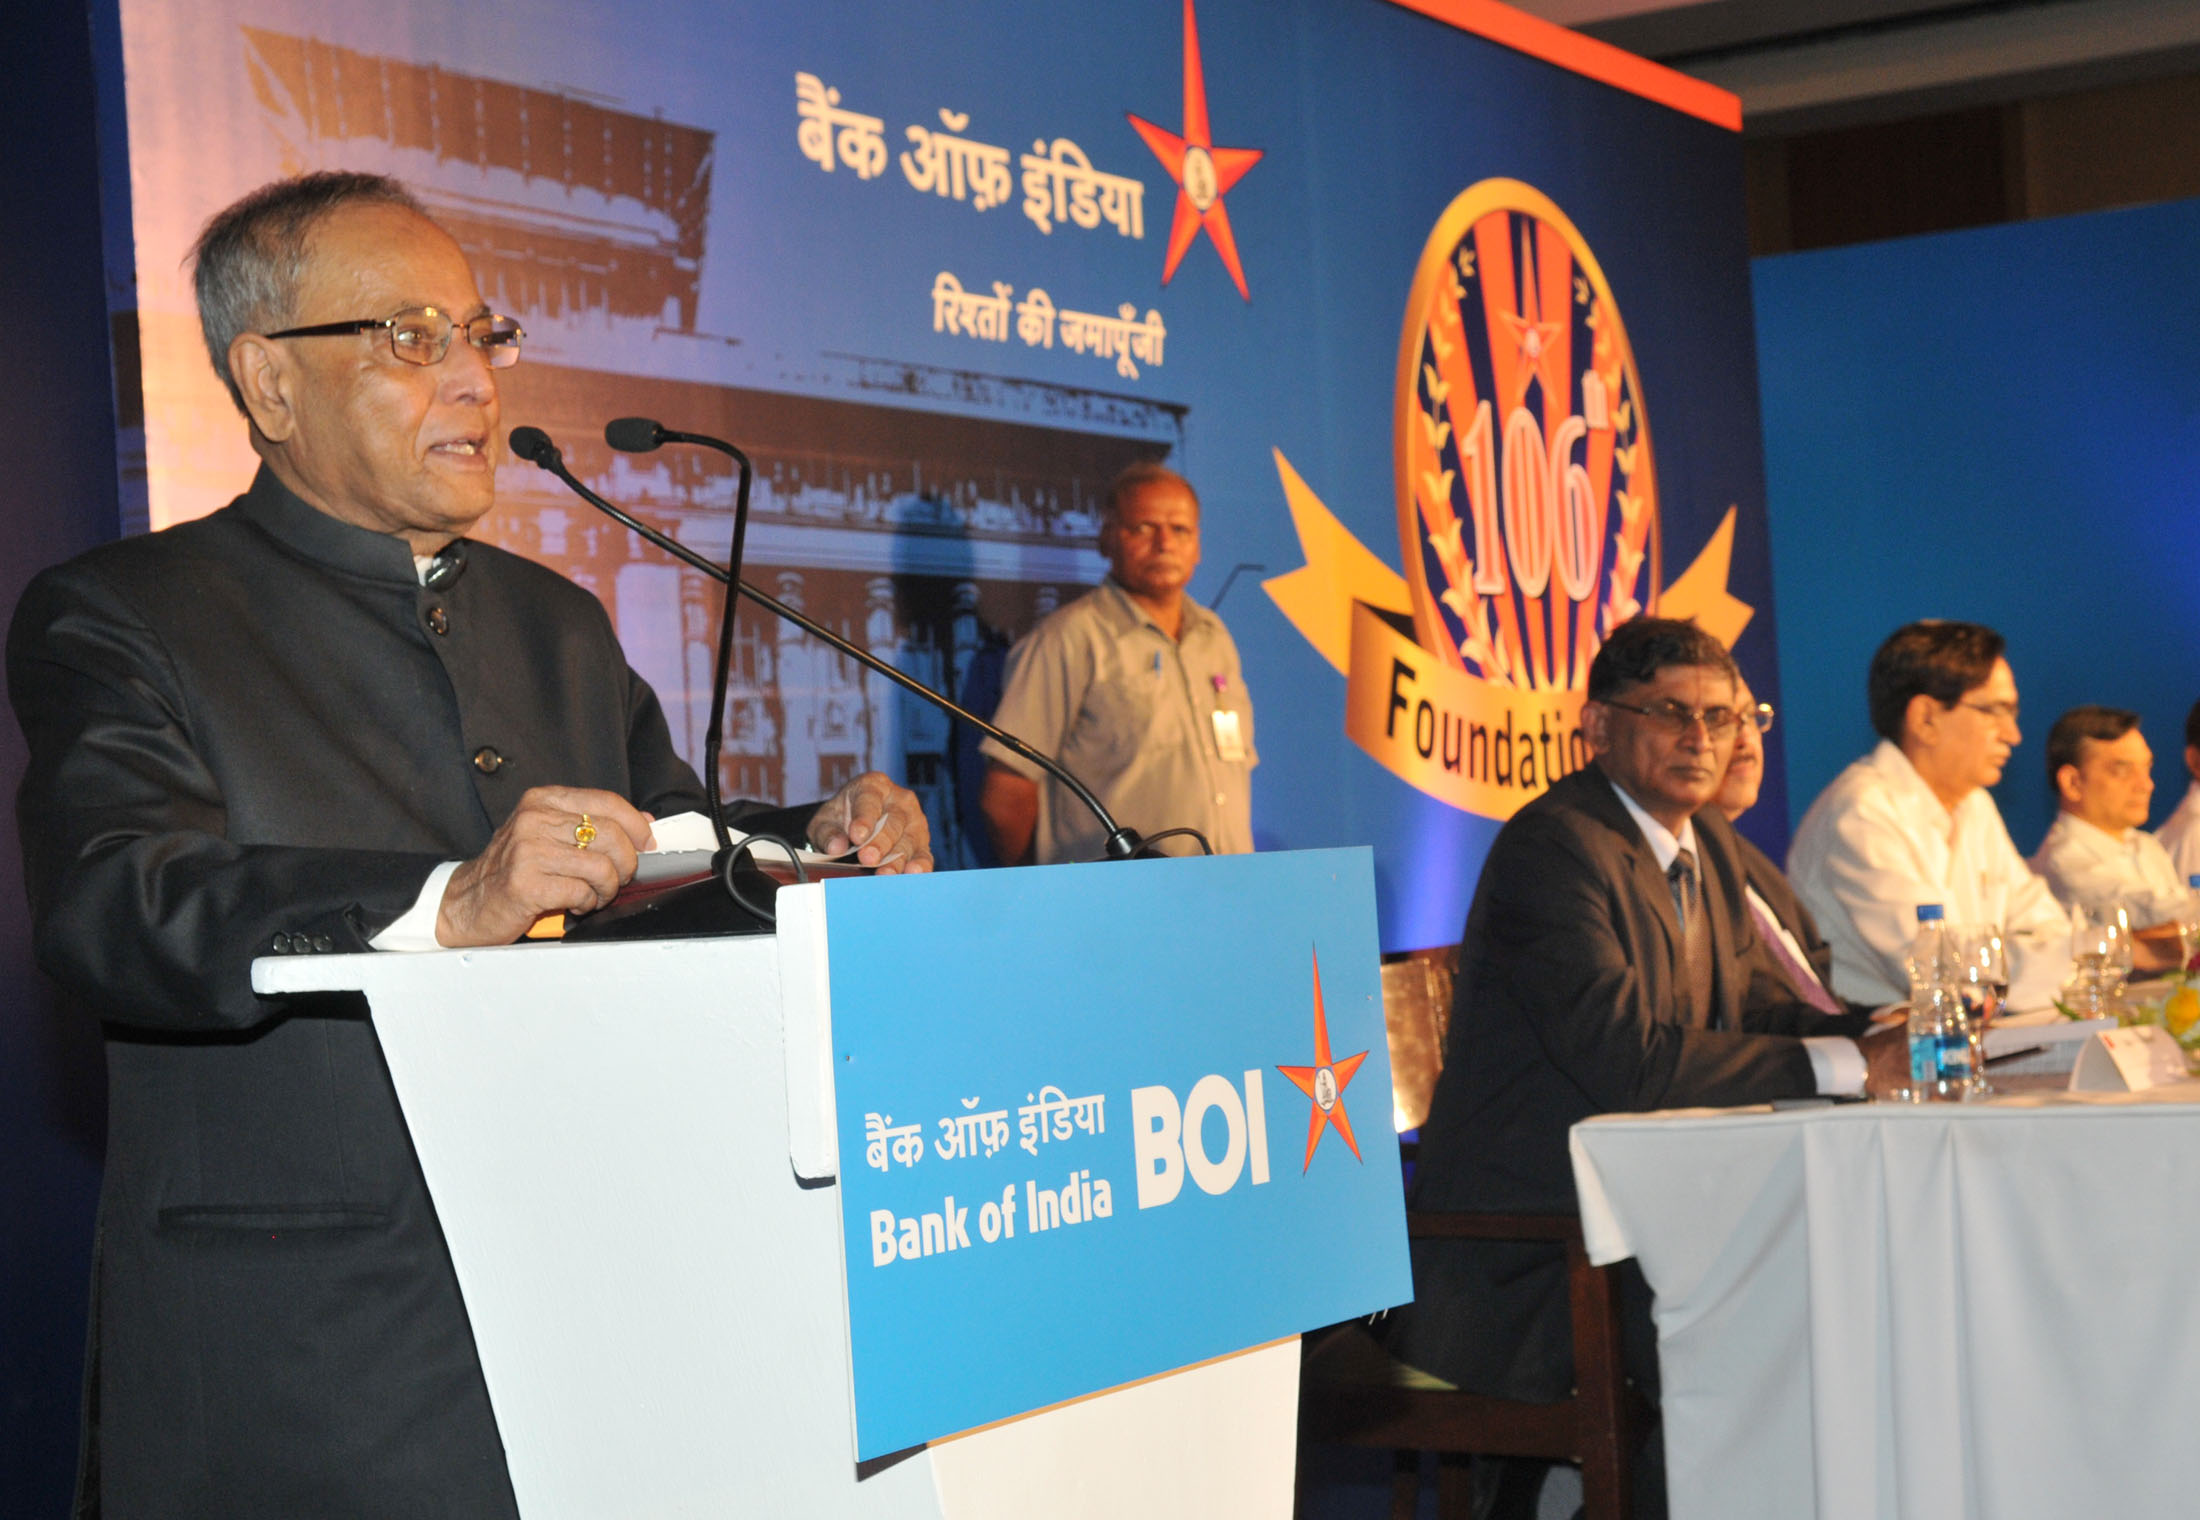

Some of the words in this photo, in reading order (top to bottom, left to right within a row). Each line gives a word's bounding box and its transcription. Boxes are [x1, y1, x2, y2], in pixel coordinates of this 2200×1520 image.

[784, 64, 892, 186] बैंक
[895, 101, 1017, 216] ऑफ़
[1010, 128, 1152, 242] इंडिया
[924, 261, 1019, 345] रिश्तों
[1011, 277, 1061, 352] की
[1055, 297, 1171, 383] जमापूँजी
[1382, 653, 1588, 797] २०००००
[852, 1097, 932, 1191] बैंक
[928, 1087, 1022, 1175] ऑफ़
[1007, 1075, 1119, 1168] इंडिया
[1119, 1064, 1279, 1219] BOI
[861, 1187, 971, 1277] Bank
[973, 1177, 1022, 1254] of
[1015, 1162, 1122, 1246] India